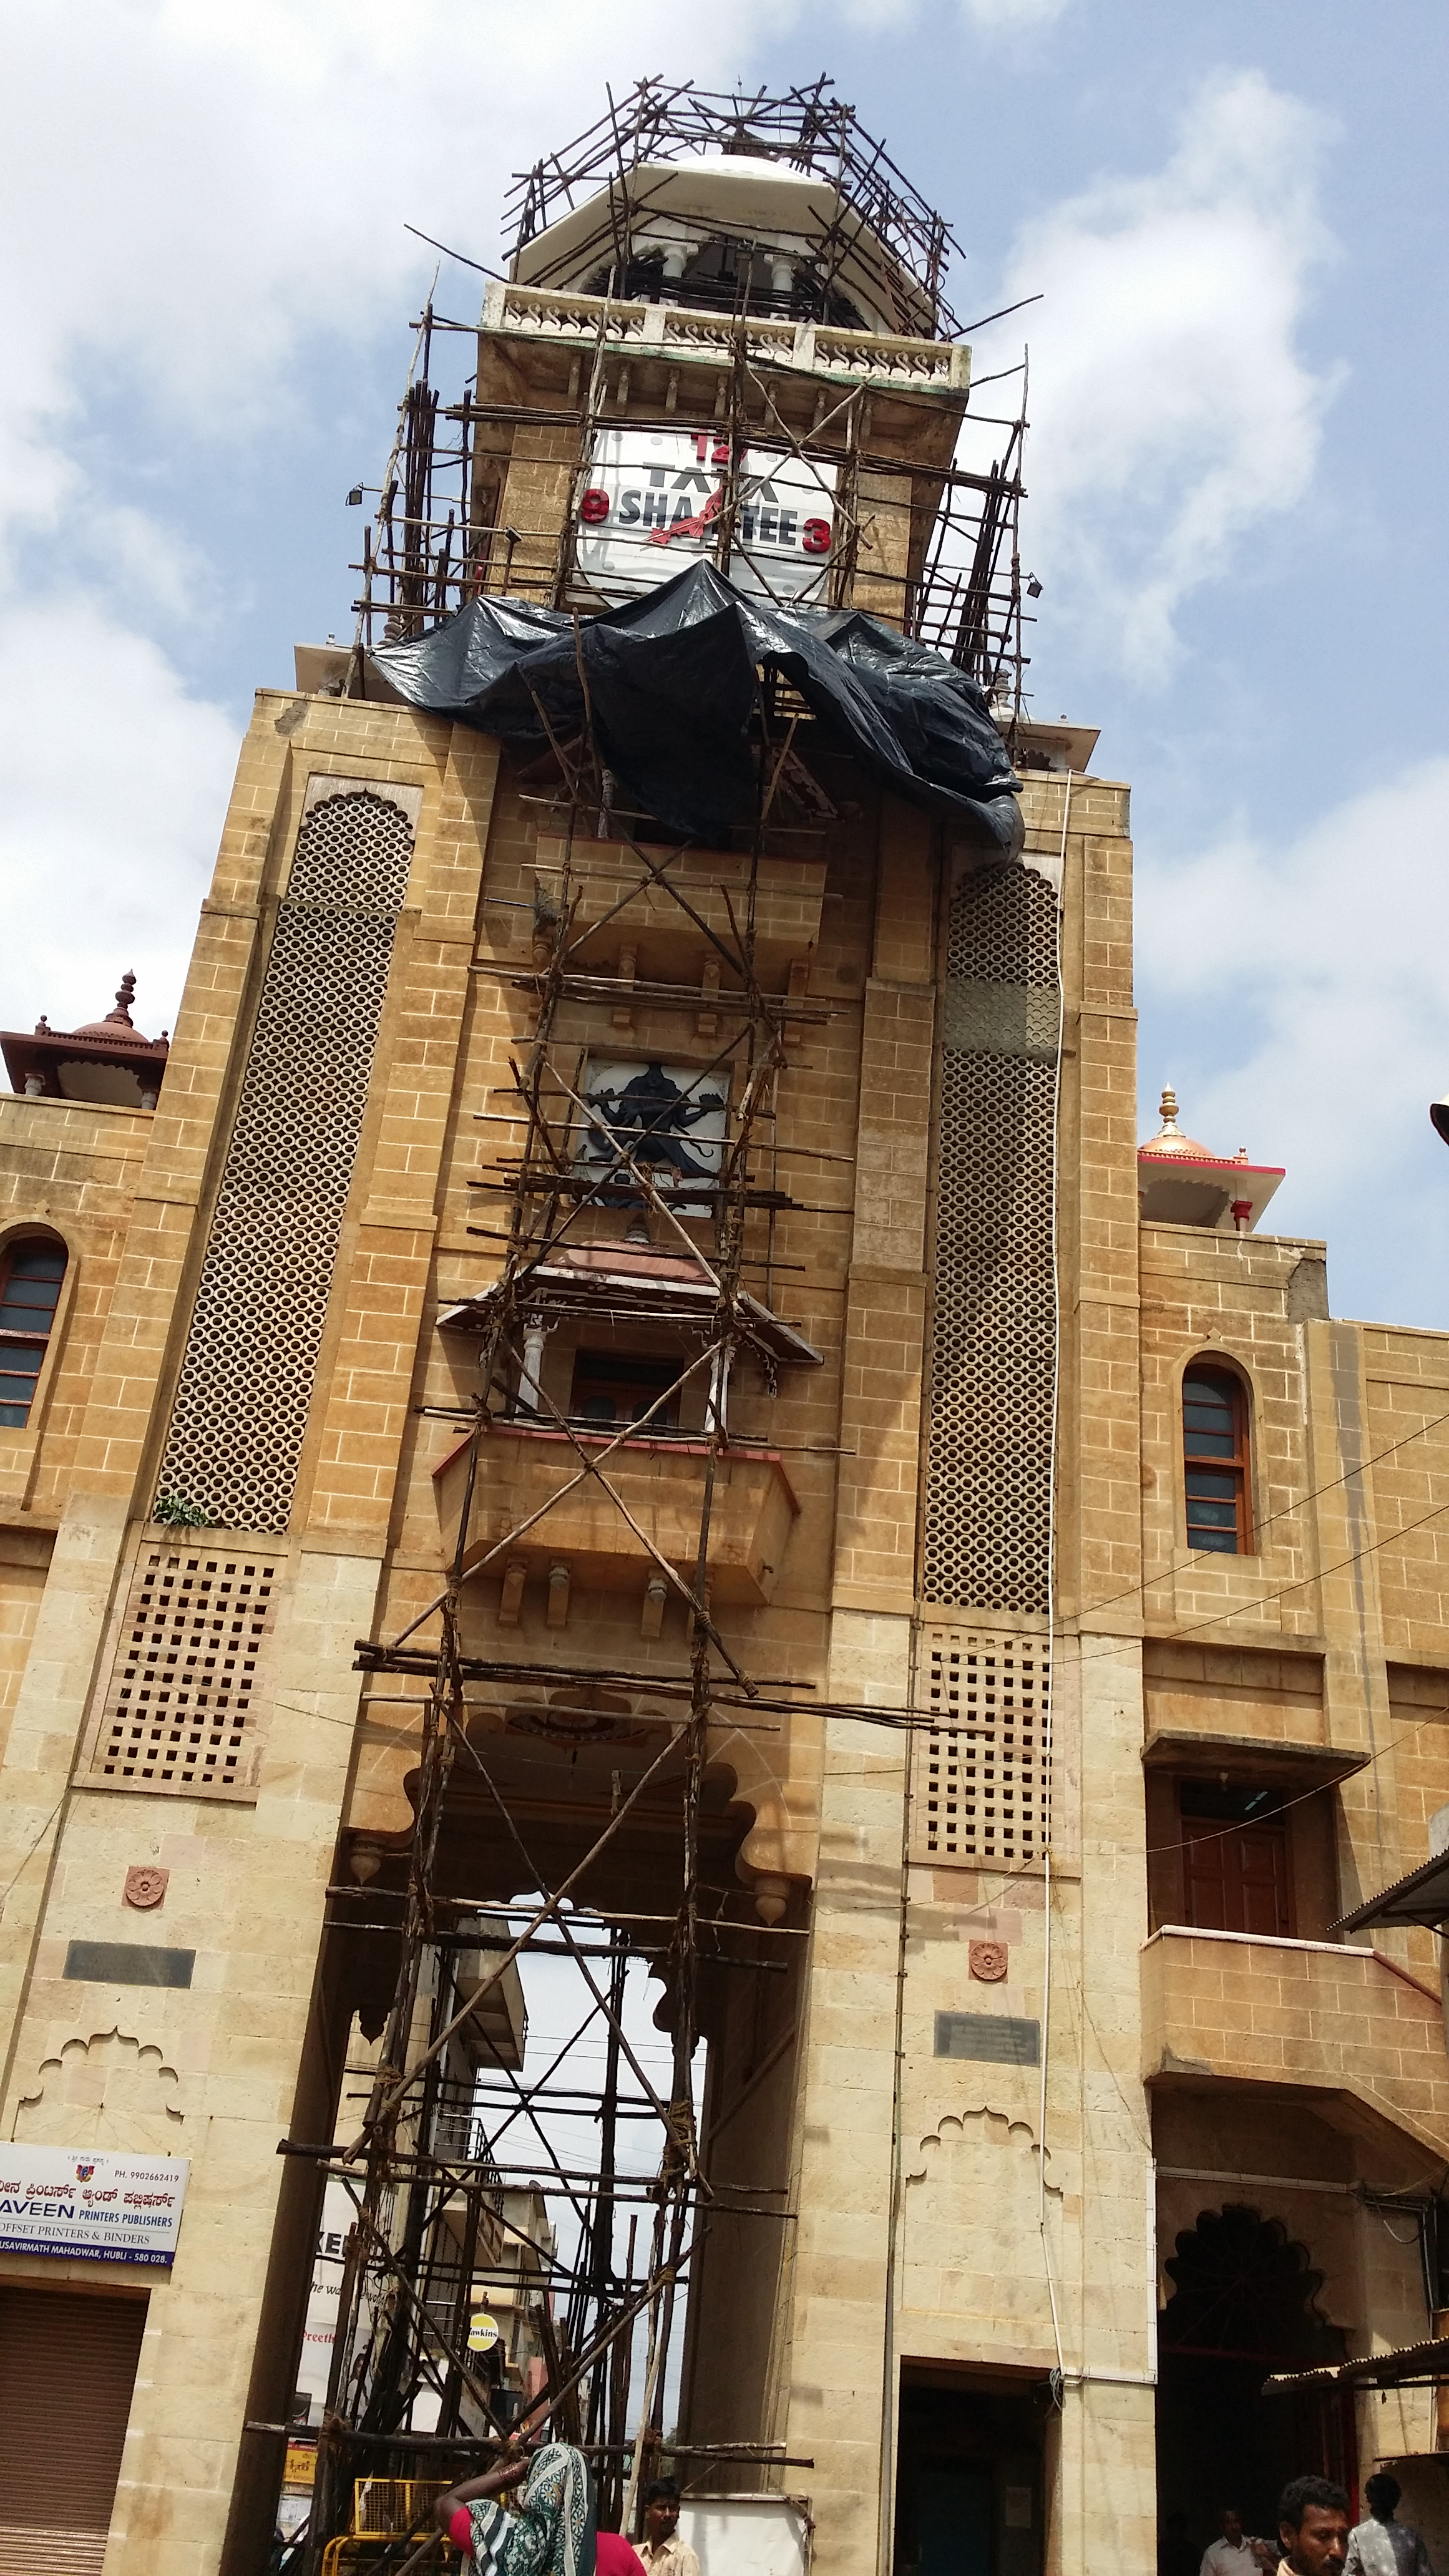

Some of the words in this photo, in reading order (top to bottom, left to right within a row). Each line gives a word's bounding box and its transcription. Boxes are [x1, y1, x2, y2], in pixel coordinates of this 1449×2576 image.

[112, 2167, 182, 2183] PH.9902662419
[1, 2218, 39, 2237] OFFSET
[1, 2238, 51, 2253] USAVIRMATH
[1, 2195, 77, 2222] AVEEN
[22, 2178, 78, 2203] ಪ್ರಿಂಟಸ್೯
[36, 2222, 92, 2242] PRINTERS
[49, 2243, 102, 2258] MAHADWAR,
[86, 2228, 103, 2242] &
[76, 2207, 122, 2223] PRINTERS
[79, 2185, 122, 2210] ಆ್ಯಂಡ್
[100, 2248, 130, 2261] HUBLI
[102, 2228, 153, 2246] BINDERS
[121, 2211, 175, 2228] PUBLISHERS
[120, 2190, 178, 2210] ಪಬ್ಲಷರ್ಸ್
[129, 2250, 170, 2265] -580028.